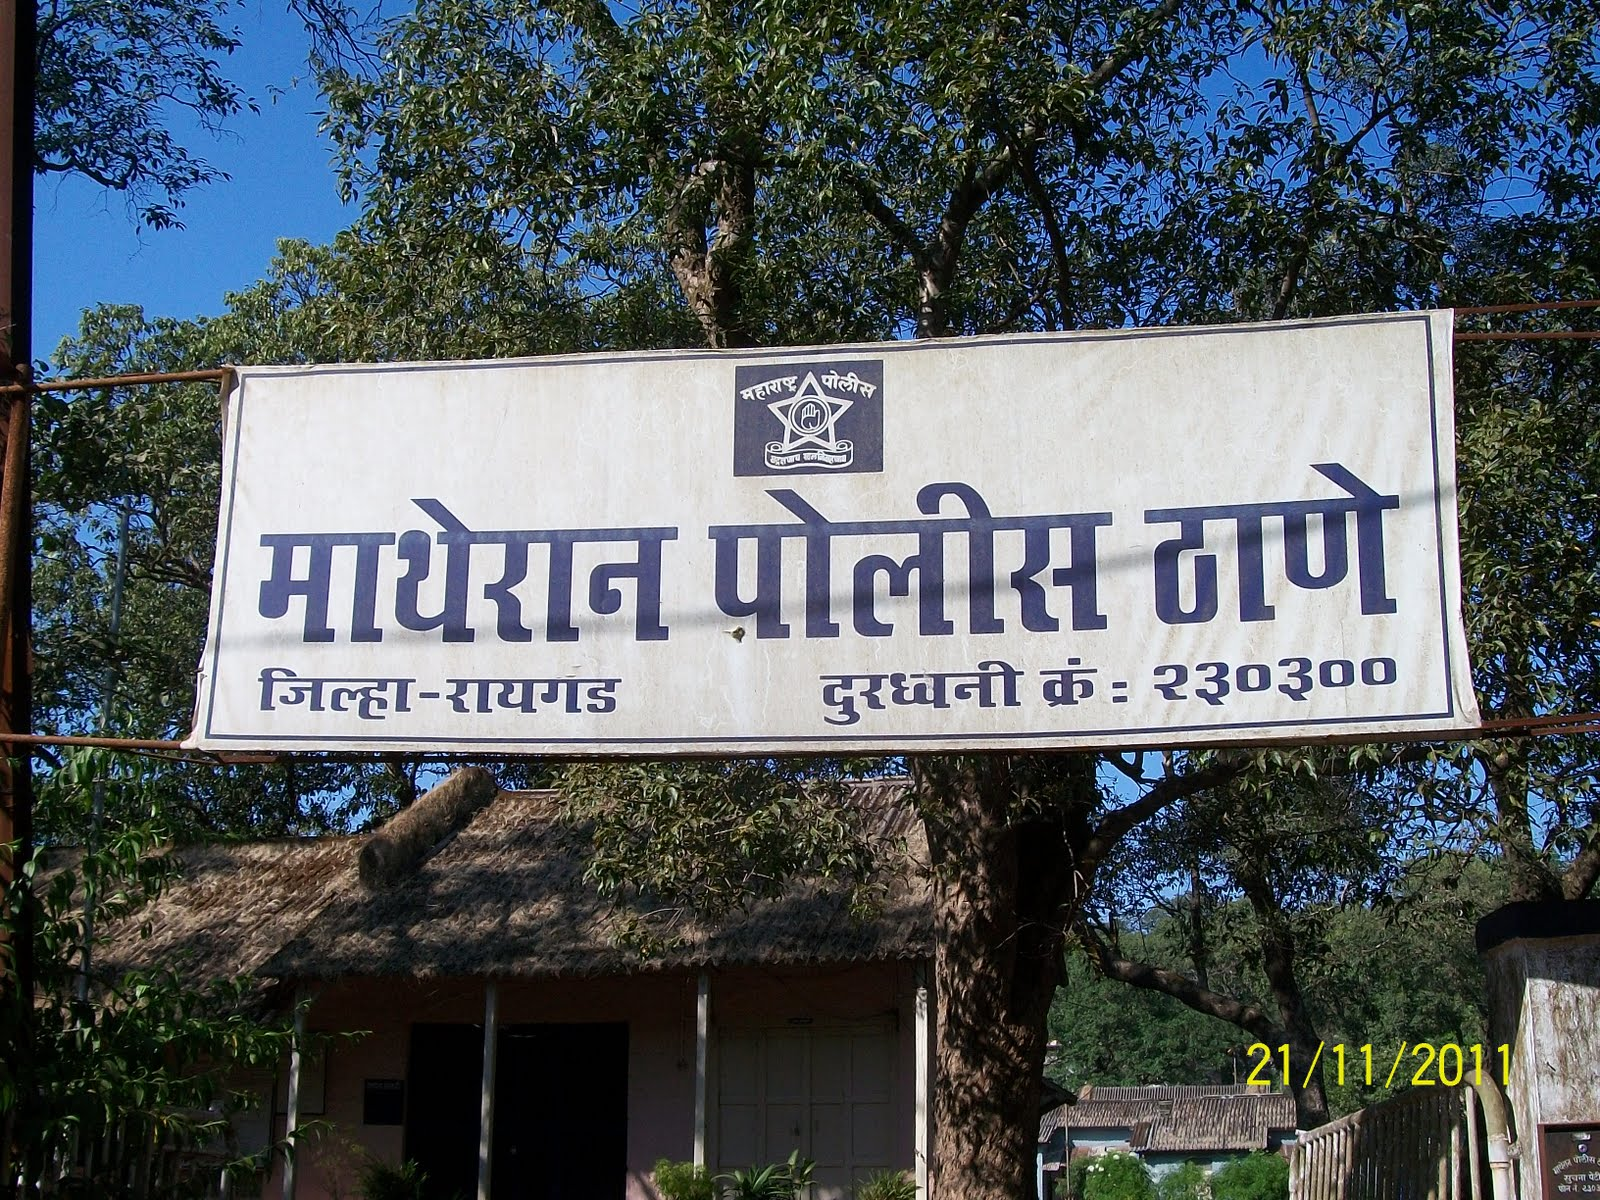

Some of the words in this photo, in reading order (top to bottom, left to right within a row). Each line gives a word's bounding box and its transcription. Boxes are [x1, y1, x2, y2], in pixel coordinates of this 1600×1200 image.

[734, 370, 805, 404] महाराष्‍ट्र
[817, 362, 880, 407] पोलीस
[250, 491, 683, 648] माथेरान
[708, 474, 1118, 642] पोलीस
[1135, 460, 1415, 642] ठाणे
[255, 665, 418, 724] जिल्हा
[439, 671, 628, 718] रायगड
[816, 650, 1030, 728] दुरध्वनी
[1033, 650, 1098, 715] क्रं
[1149, 645, 1402, 717] २३०३००
[1240, 1039, 1515, 1093] 21/11/2011